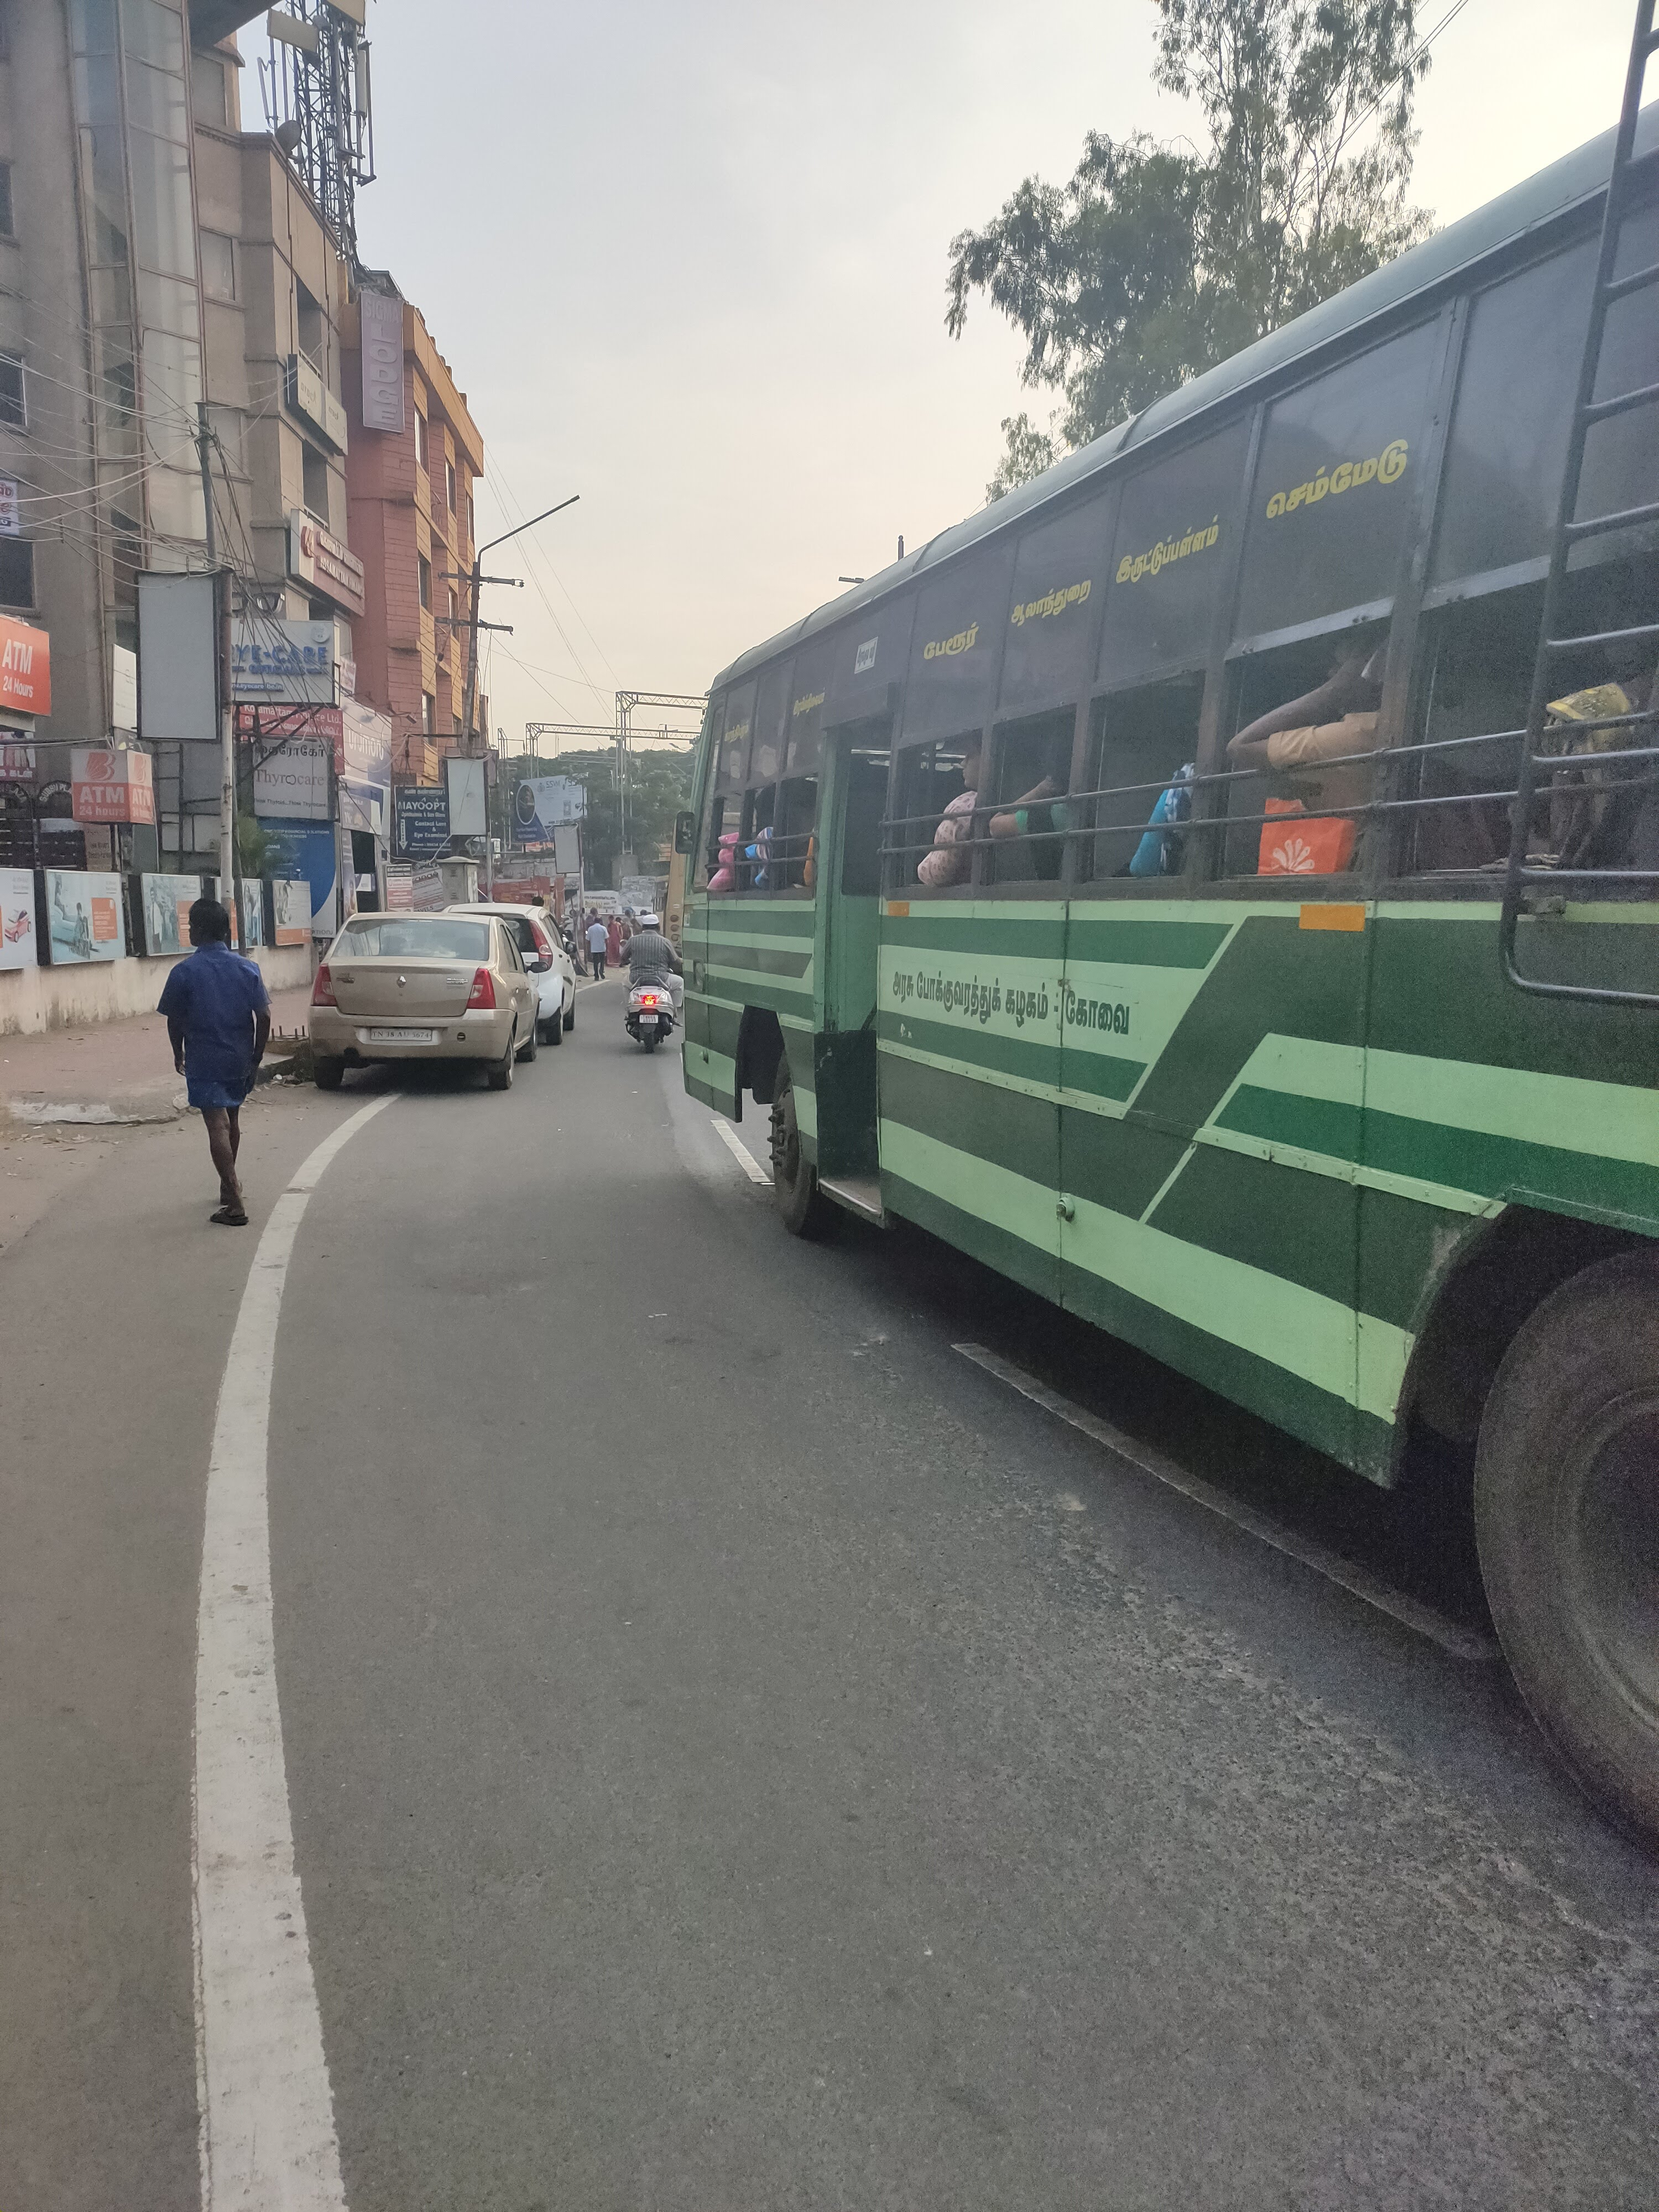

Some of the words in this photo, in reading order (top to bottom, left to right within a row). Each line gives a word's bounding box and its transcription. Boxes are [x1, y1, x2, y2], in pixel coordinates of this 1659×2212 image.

[1258, 433, 1413, 524] எசம்மேடு
[1112, 509, 1224, 591] இருட்டுப்பள்ளம்
[1005, 573, 1096, 631] ஆலாந்துறை
[0, 634, 37, 679] ATM
[236, 641, 331, 665] YE-CARE
[916, 614, 983, 666] பேரூர்
[1, 672, 39, 702] 24Hours
[251, 738, 327, 761] தரோகோ்
[76, 804, 94, 817] 24
[78, 783, 127, 805] ATM
[94, 804, 127, 818] hours
[396, 797, 448, 812] MAYOOPT
[888, 968, 919, 1006] அரசு
[911, 966, 1006, 1030] போக்குவரத்துக்
[1002, 977, 1053, 1033] கழகம்
[1057, 983, 1136, 1041] ௧௧௧௯